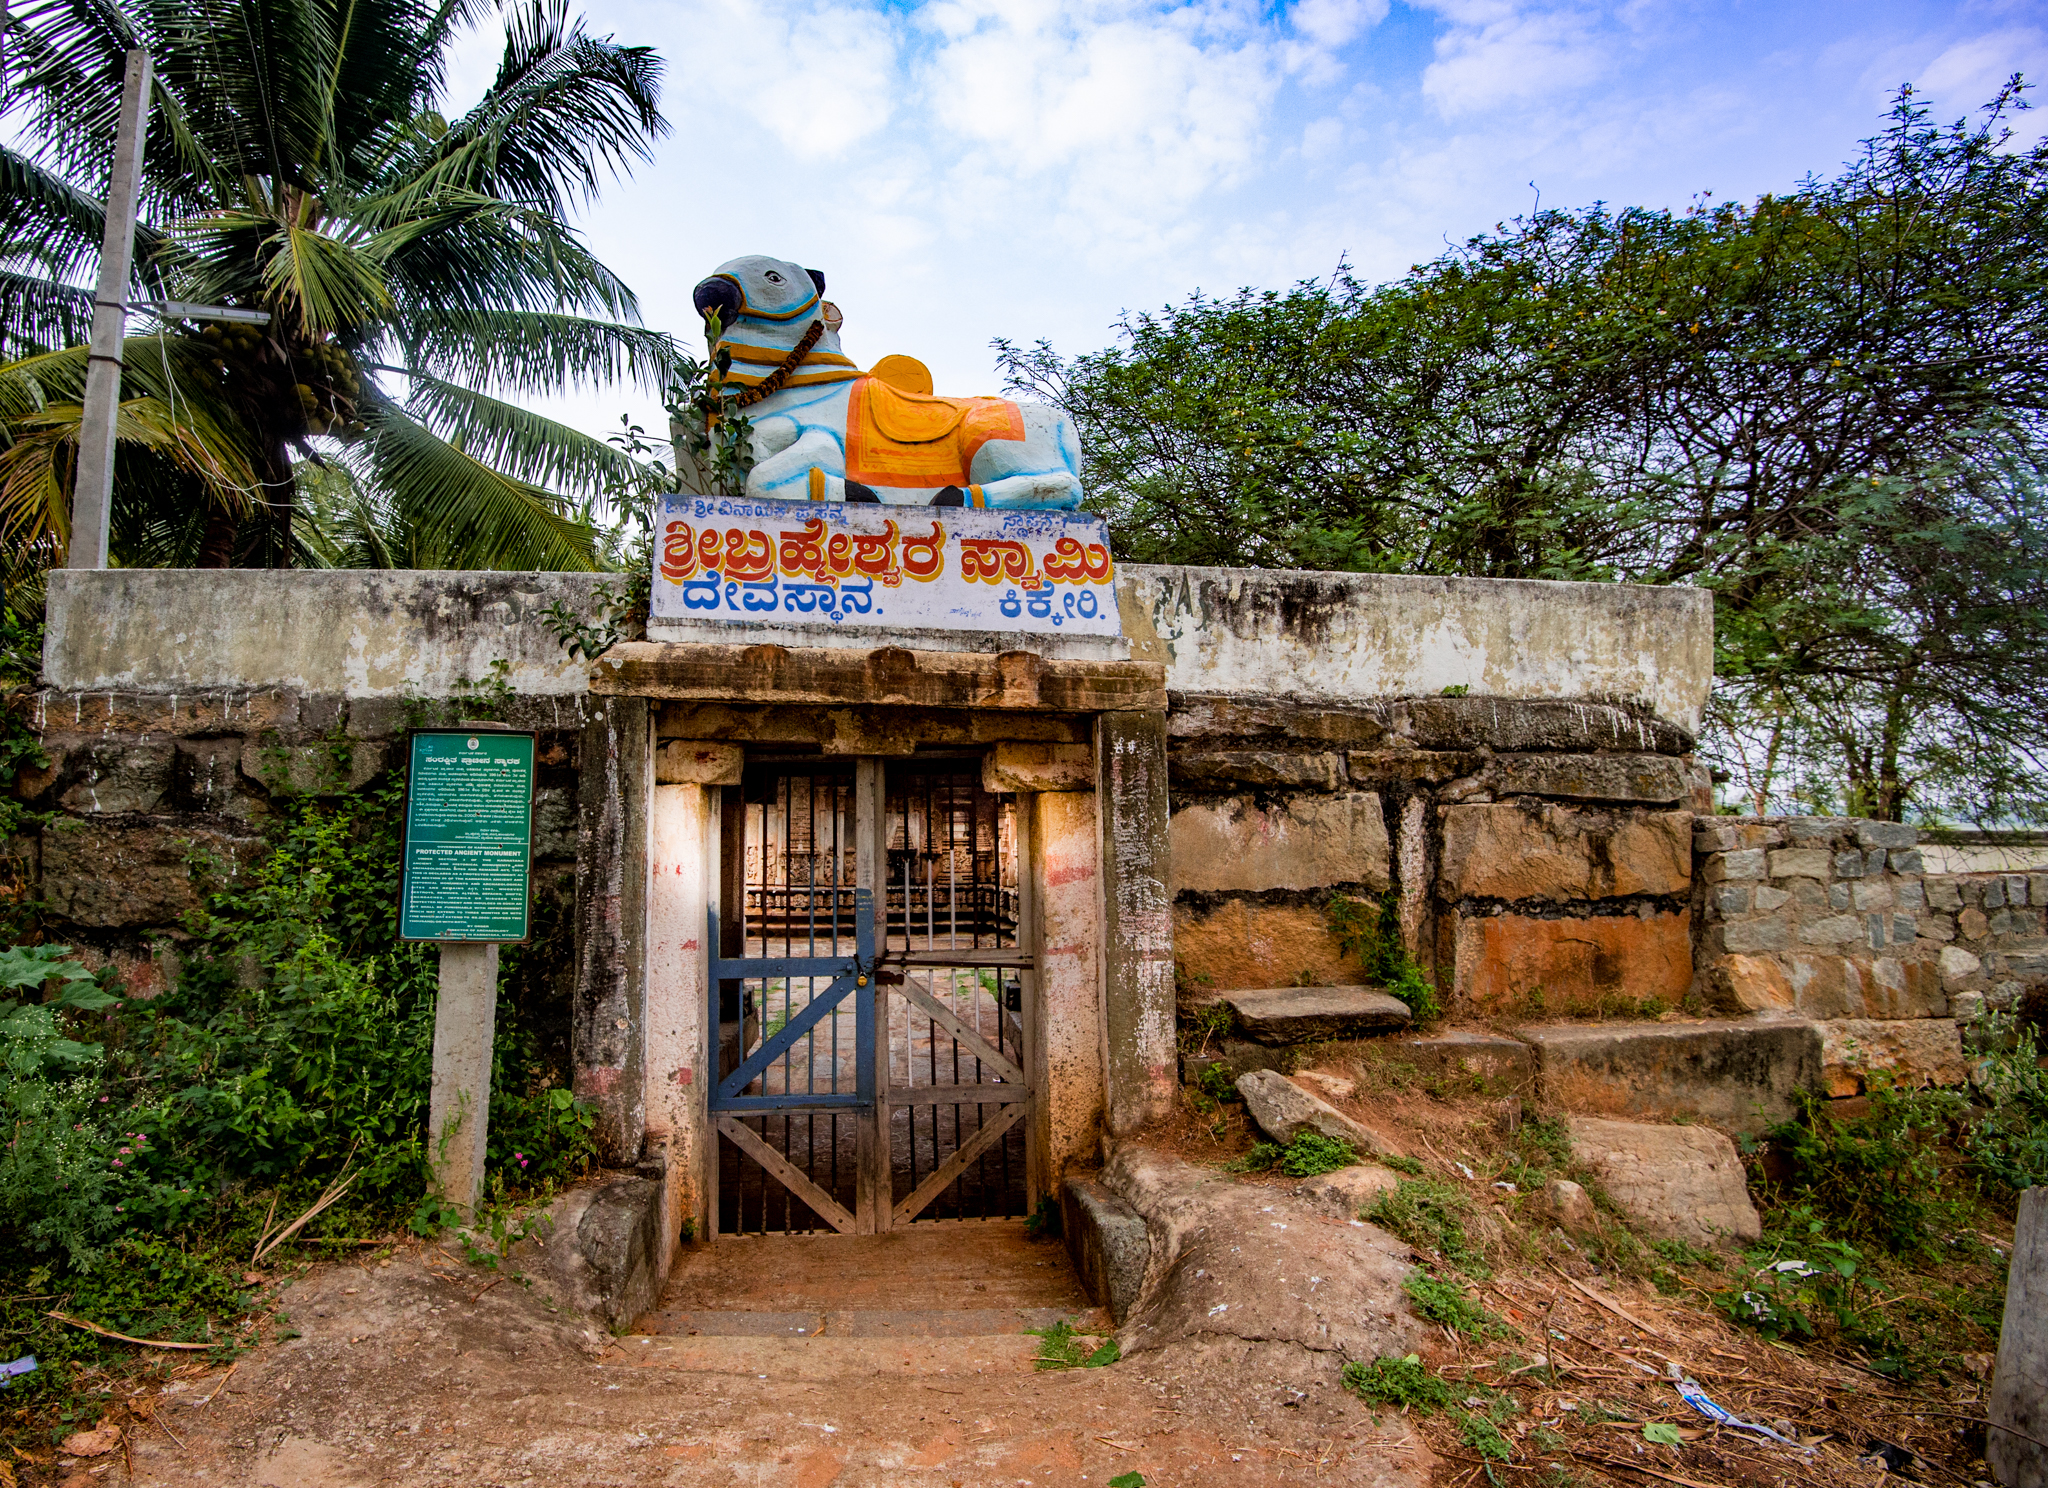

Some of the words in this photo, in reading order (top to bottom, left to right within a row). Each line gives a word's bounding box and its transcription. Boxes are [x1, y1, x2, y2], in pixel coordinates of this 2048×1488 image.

[658, 489, 718, 523] ಓಂಶ್ರೀ
[714, 493, 792, 523] ವಿನಾಯಕ
[793, 497, 855, 528] ಪ್ರಸನ್ನ
[653, 507, 949, 588] ಶ್ರೀ ಬ್ರಹ್ಮೇಶ್ವರ
[679, 562, 888, 622] ದೇವಸ್ಥಾನ.
[991, 572, 1109, 627] ಕಿಕ್ಕೇರಿ.
[419, 750, 461, 768] ಸಂರಕ್ಷಿತ
[455, 749, 495, 769] ಪ್ರಾಚೀನ
[490, 751, 525, 771] ಸ್ಯಾರಕ
[412, 845, 456, 860] PROTECTED
[449, 845, 485, 861] ANCIENT
[481, 846, 526, 861] MONUMENT